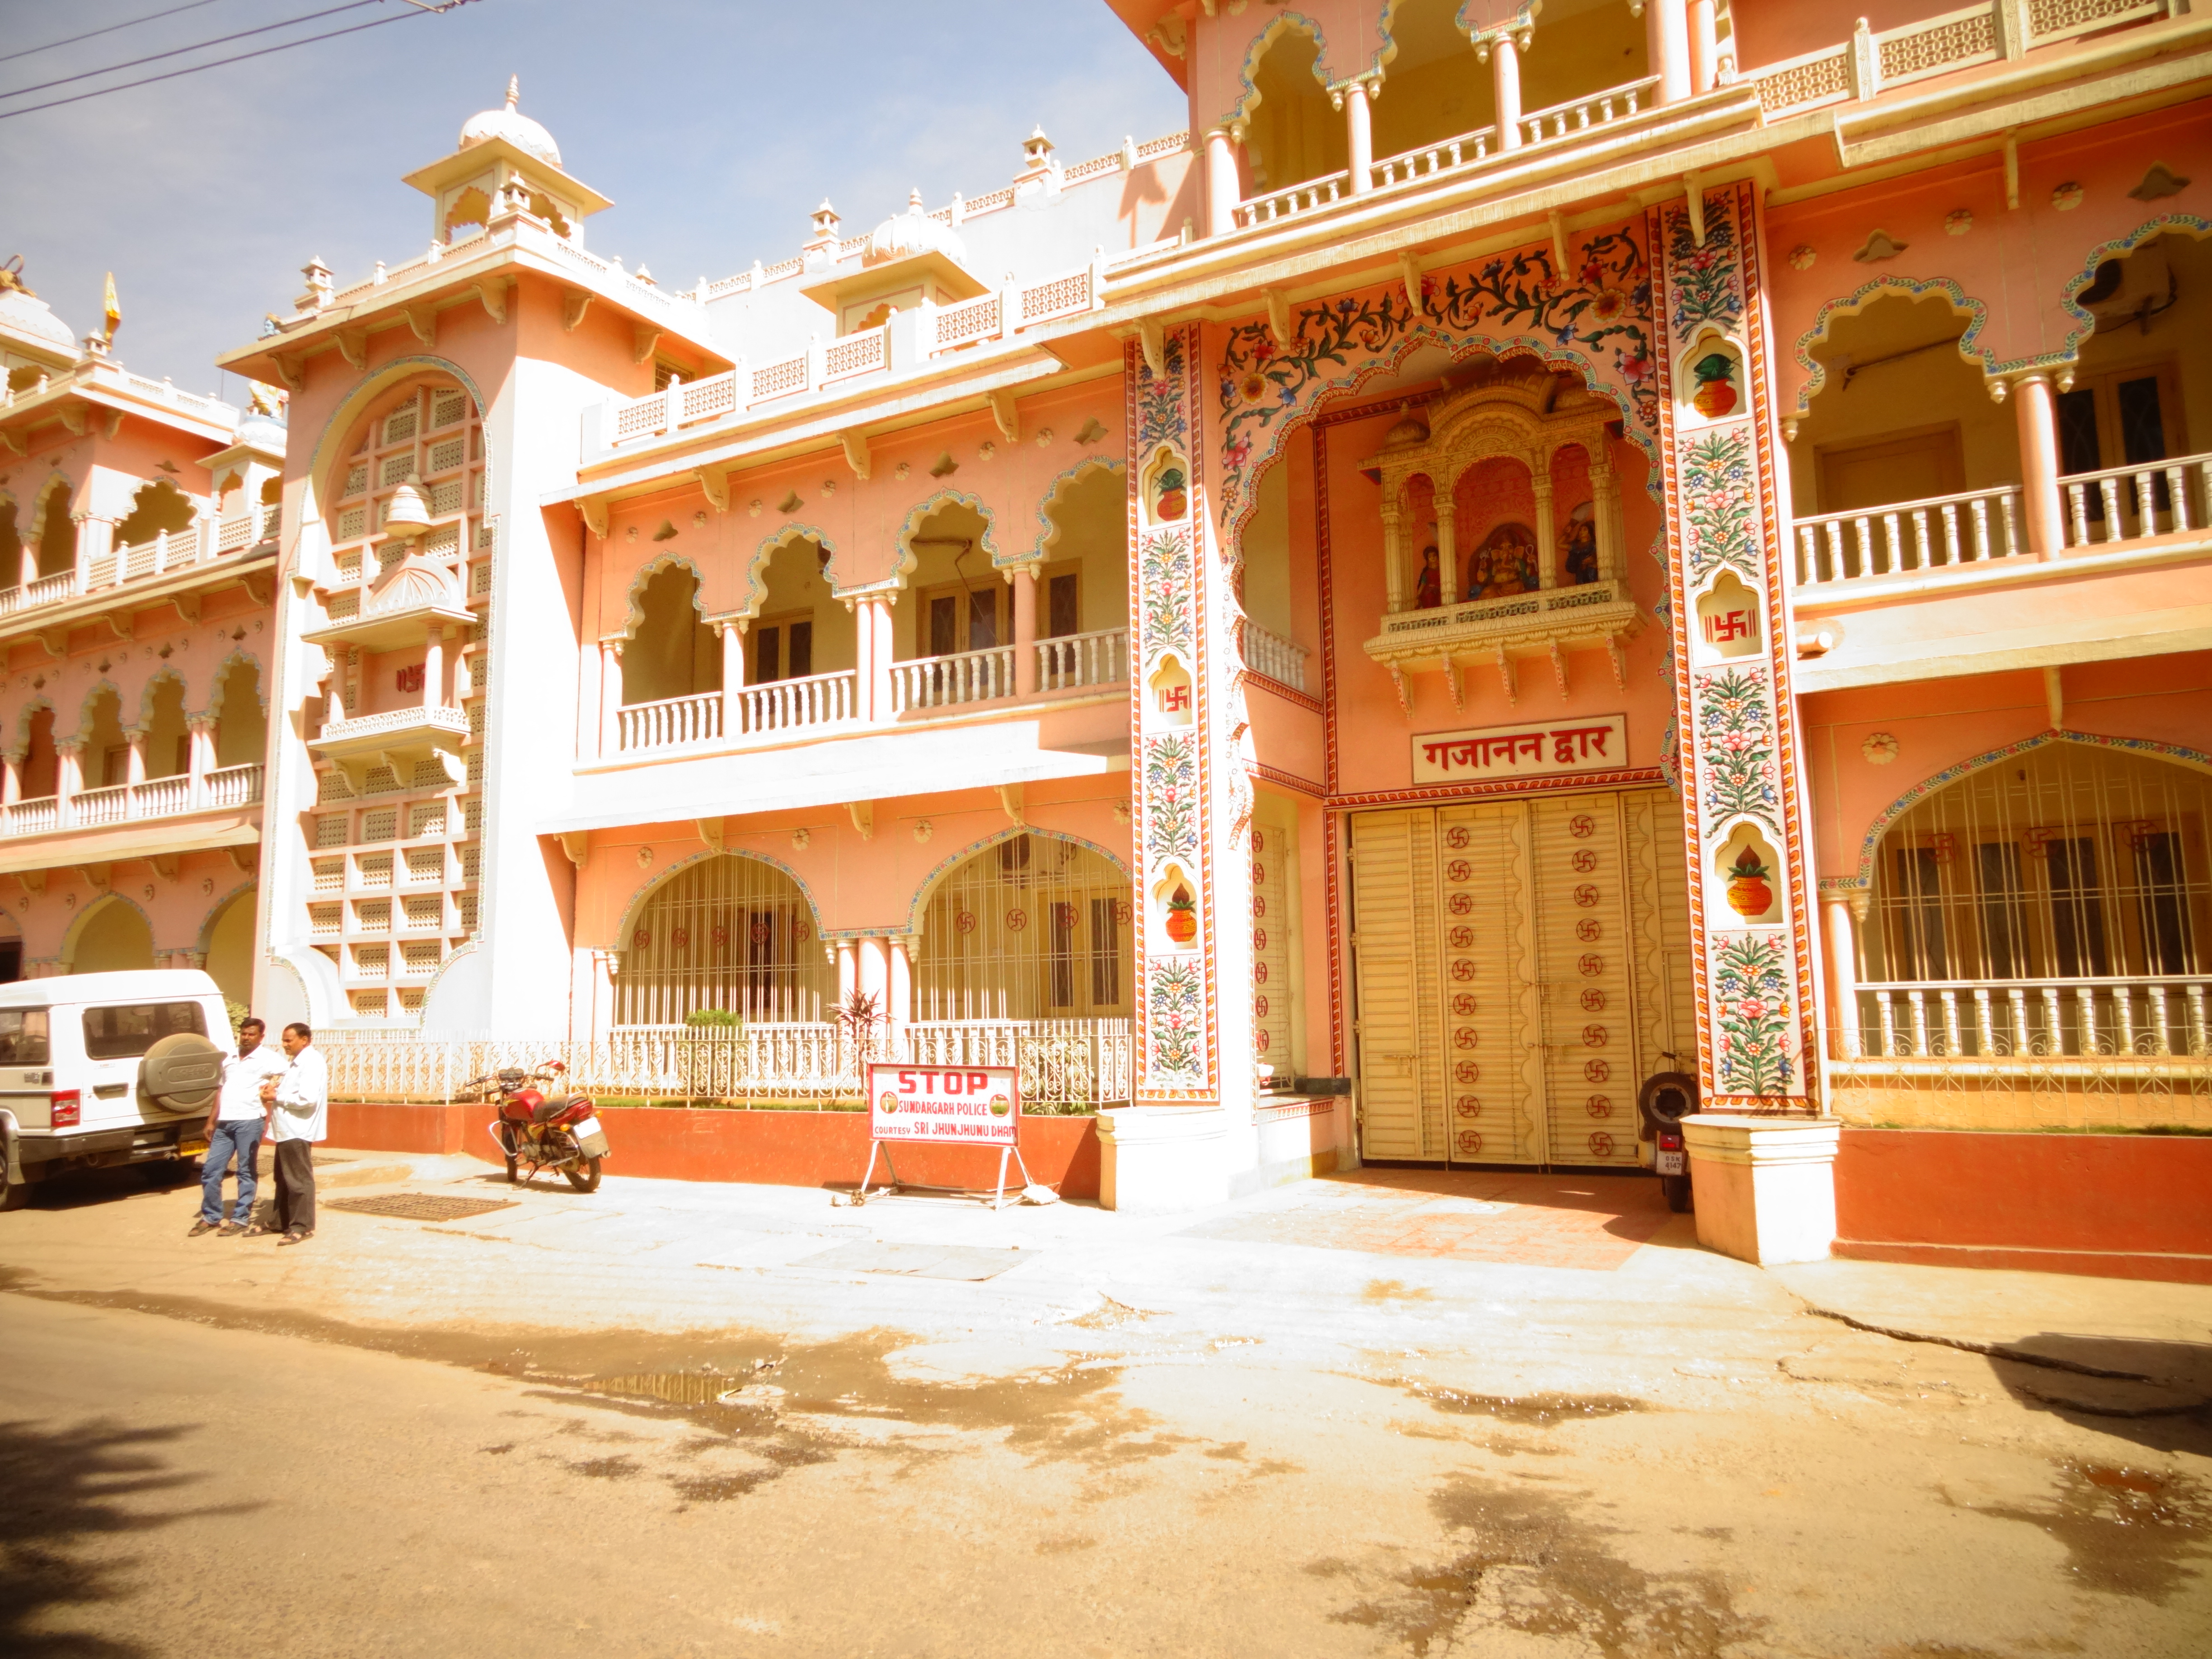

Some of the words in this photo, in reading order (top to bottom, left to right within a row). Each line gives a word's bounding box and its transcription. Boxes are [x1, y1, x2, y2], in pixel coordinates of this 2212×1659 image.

[1421, 732, 1547, 773] गजानन
[1550, 724, 1615, 764] द्वार
[900, 1069, 989, 1097] STOP
[897, 1099, 954, 1116] SUNDARGARH
[955, 1101, 989, 1117] POLICE
[874, 1125, 912, 1135] COURTESY
[913, 1120, 930, 1137] SRI
[931, 1121, 990, 1138] JHUNJHUNU
[989, 1125, 1017, 1139] DHAM